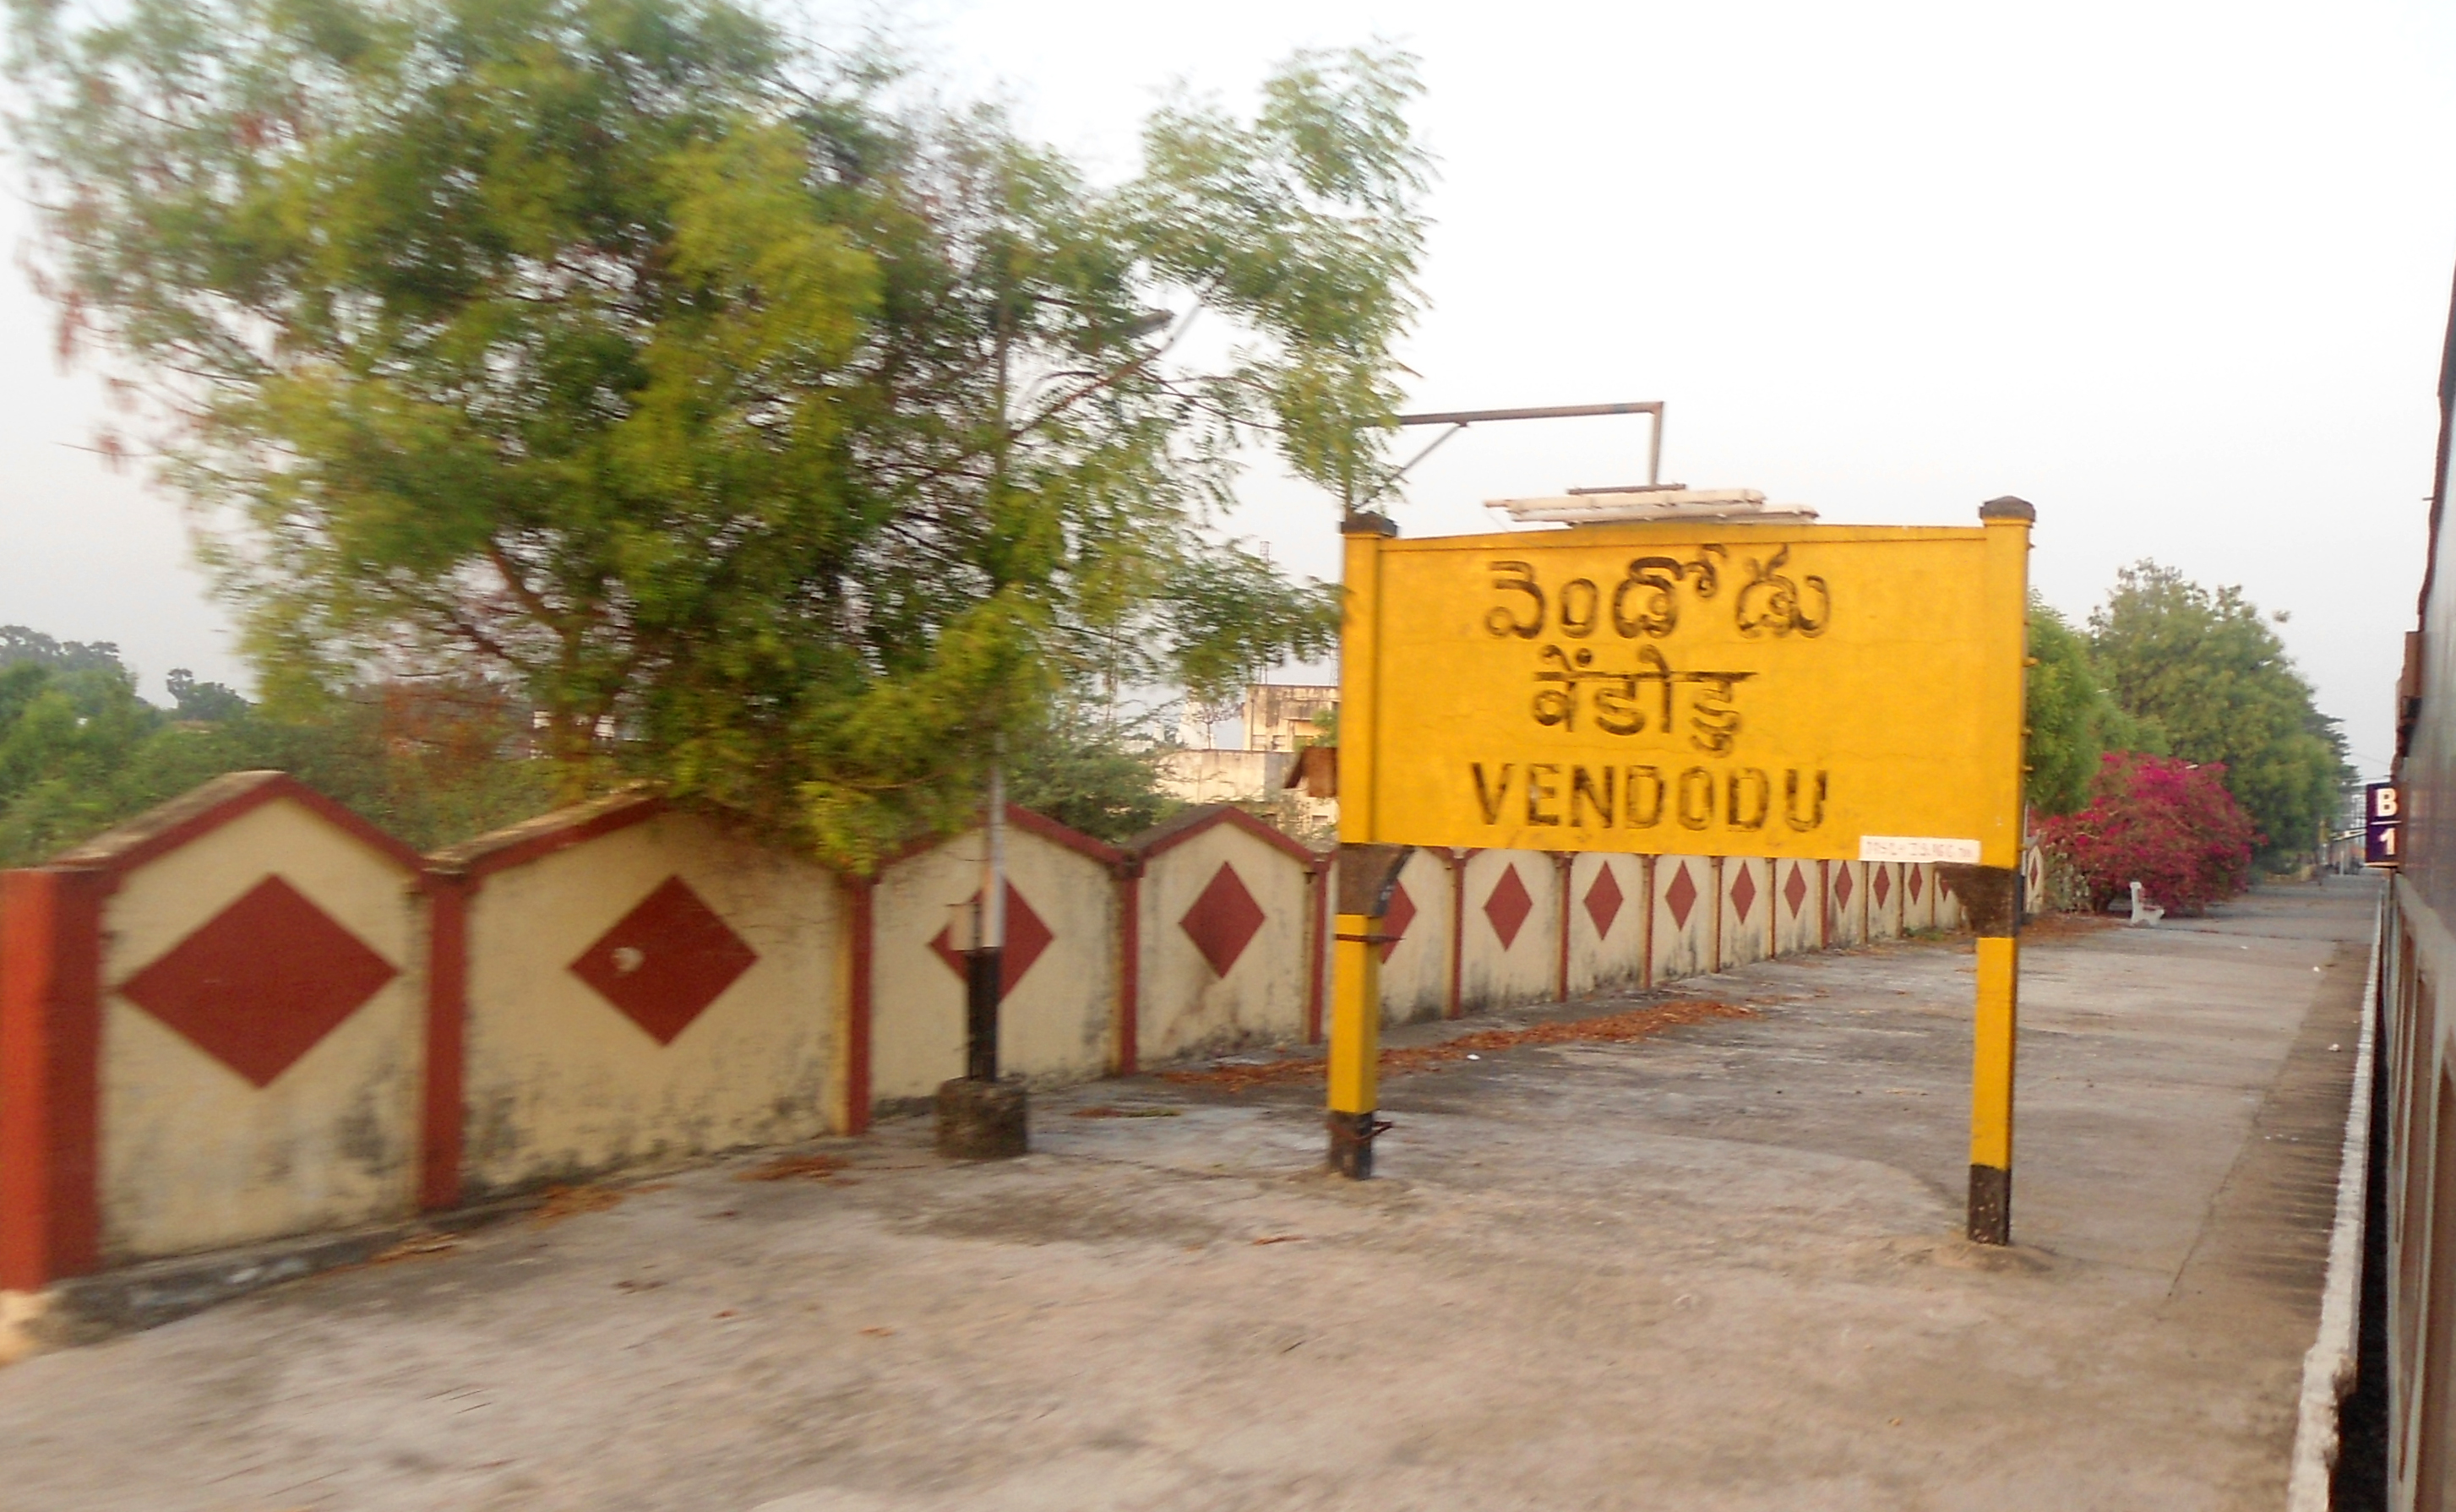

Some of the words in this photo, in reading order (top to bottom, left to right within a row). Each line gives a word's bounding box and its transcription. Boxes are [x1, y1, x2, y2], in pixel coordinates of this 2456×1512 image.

[1476, 537, 1837, 645] వెండోడు
[1526, 639, 1760, 764] बेंडोडु
[1467, 754, 1832, 835] VENDODU